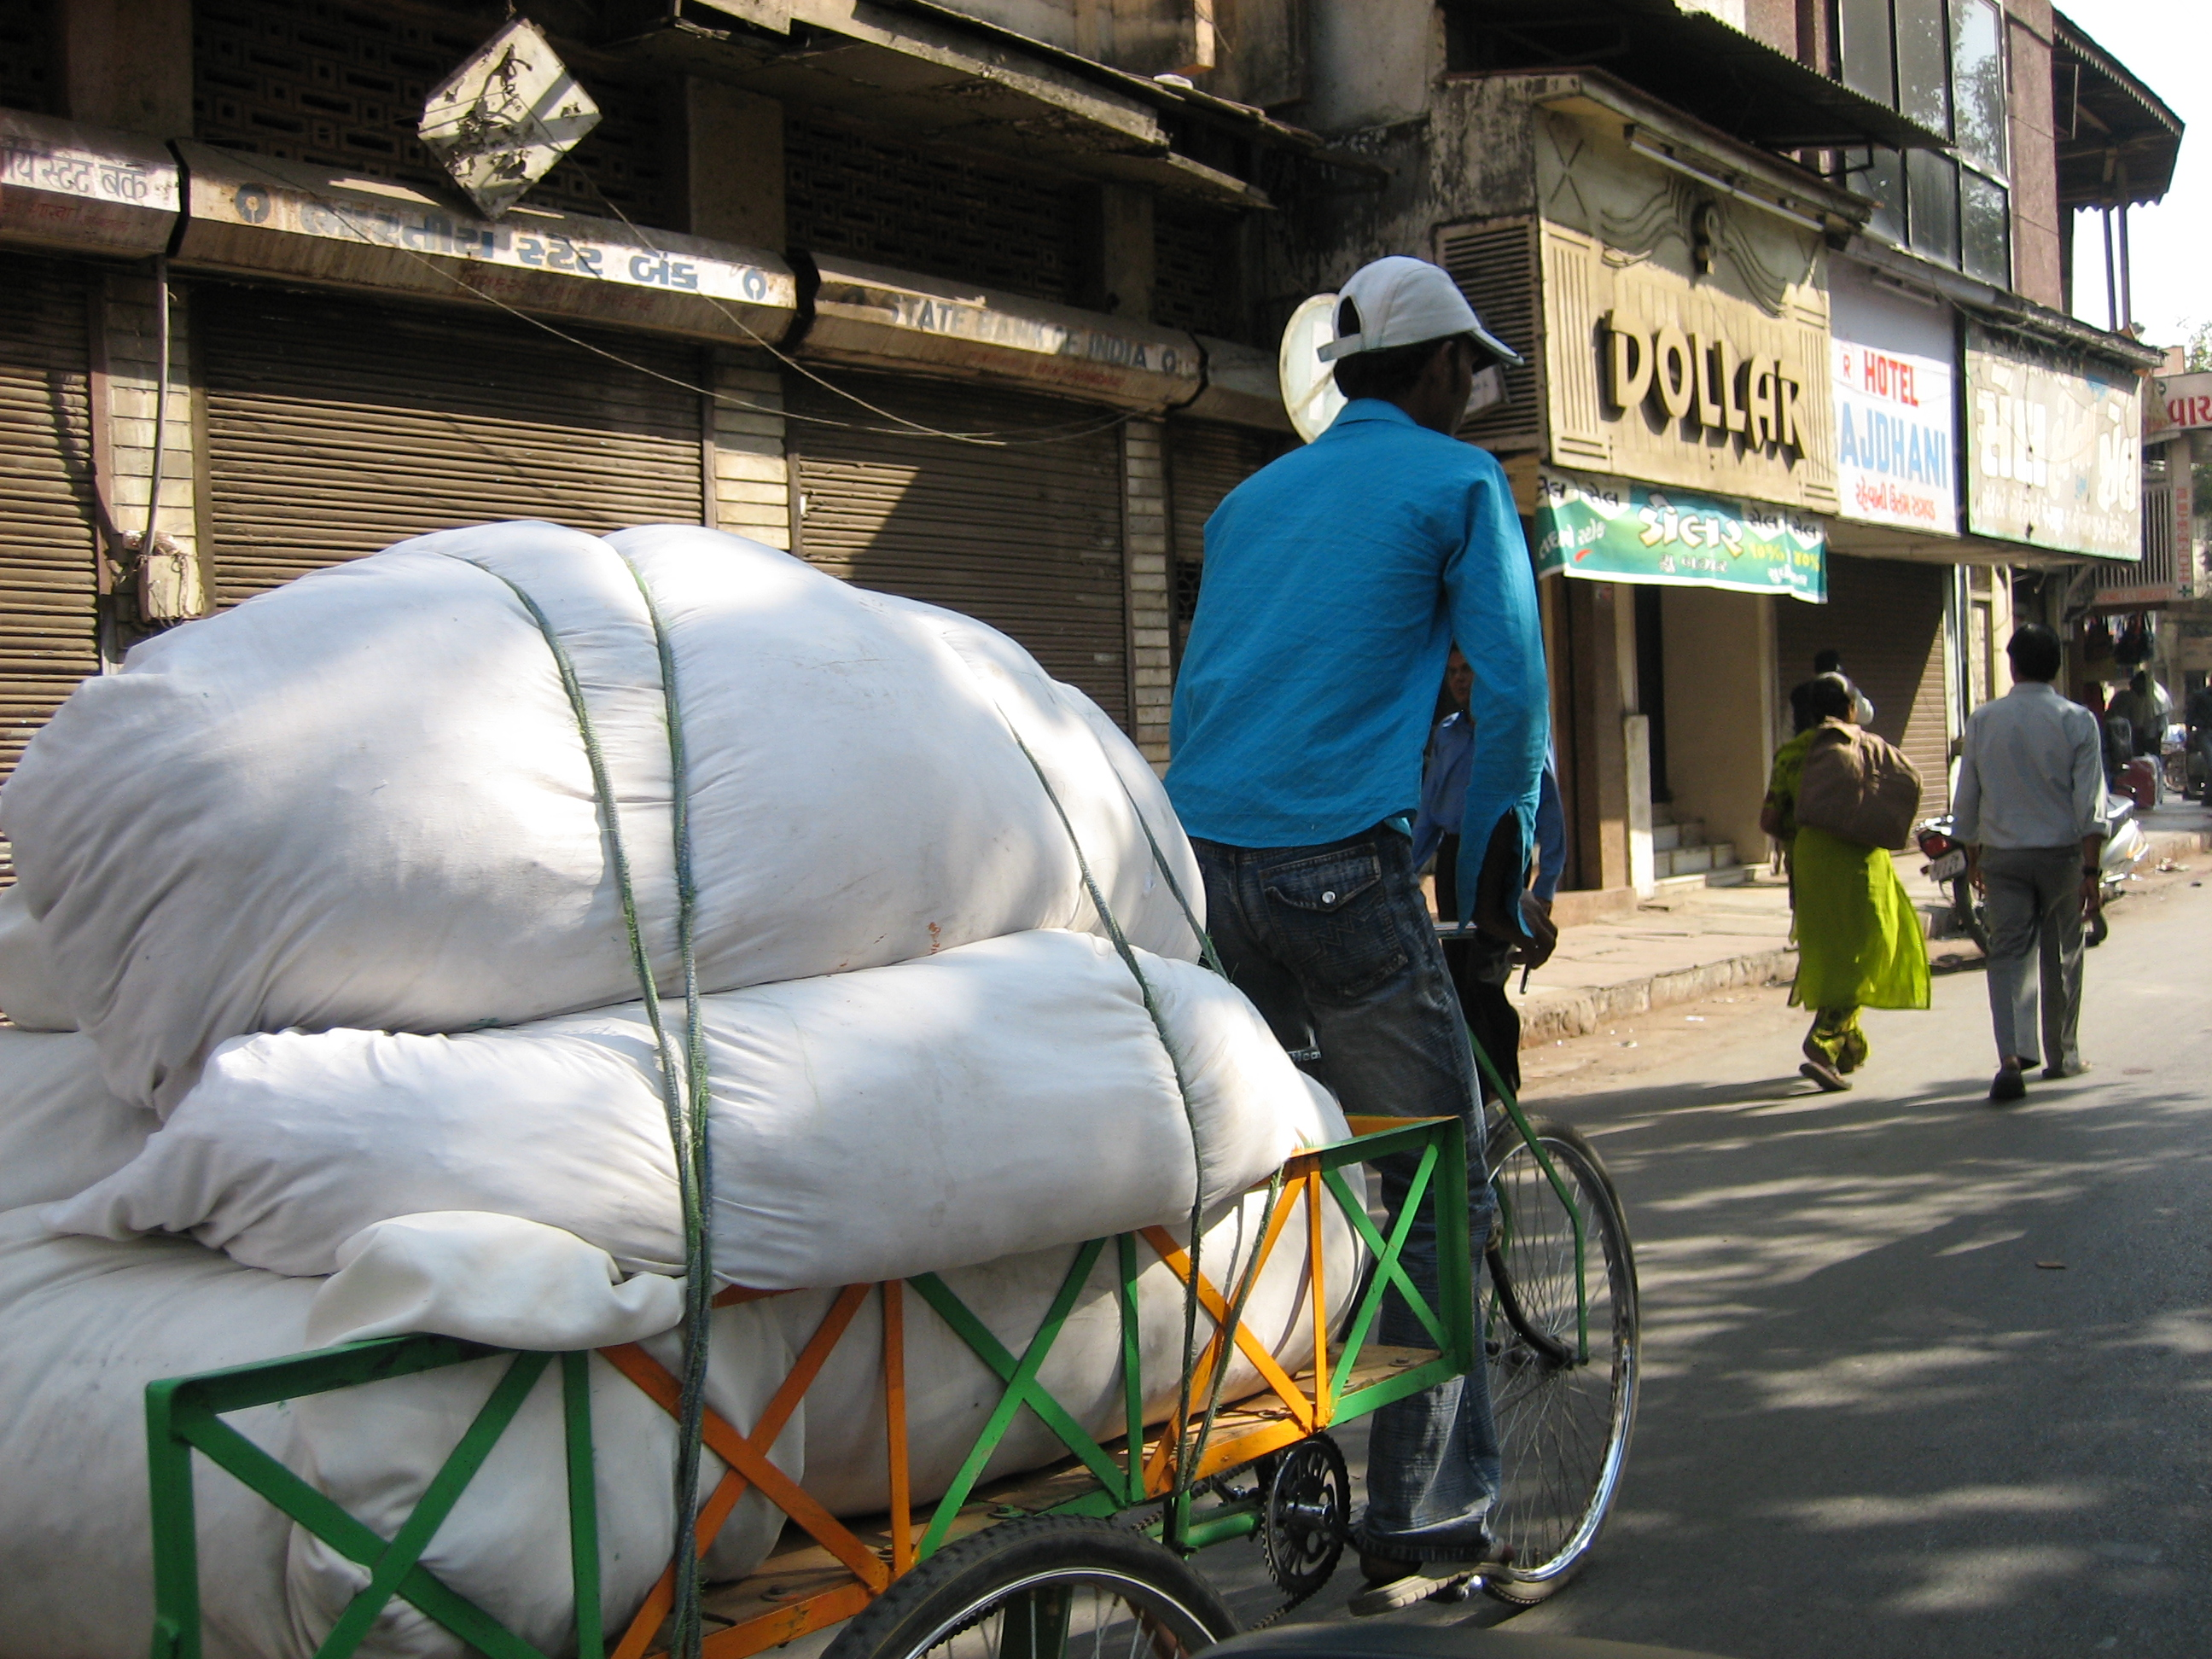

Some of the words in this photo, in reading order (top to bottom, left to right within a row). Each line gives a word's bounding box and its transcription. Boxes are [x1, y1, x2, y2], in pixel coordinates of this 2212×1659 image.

[101, 166, 154, 194] बक
[1586, 311, 1813, 469] DOLLAR
[1853, 349, 1924, 404] HOTEL
[1846, 422, 1913, 464] JUH